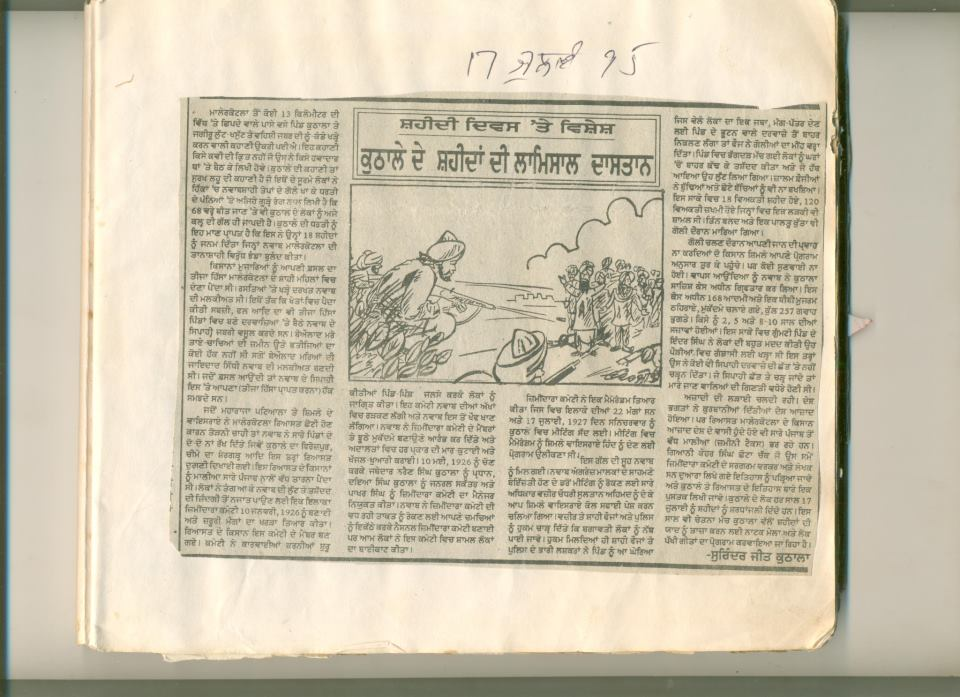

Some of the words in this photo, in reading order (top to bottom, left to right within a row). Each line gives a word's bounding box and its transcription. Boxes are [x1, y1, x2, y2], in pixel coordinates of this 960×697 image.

[457, 40, 505, 84] 17
[498, 30, 594, 91] ਜੁਲ
[593, 34, 666, 87] 95
[390, 114, 461, 136] ਸ਼ਹੀਦੀ
[458, 114, 524, 136] ਦਿਵਸ
[524, 115, 553, 138] 'ਤੇ
[554, 116, 618, 140] ਵਿਸ਼ੇਸ਼
[356, 137, 412, 177] ਕੁਠਾਲੇ
[405, 135, 432, 175] ਦੇ
[432, 140, 489, 178] ਸ਼ਹੀਦਾਂ
[487, 139, 511, 176] ਦੀ
[510, 140, 586, 177] ਲਾਮਿਸਾਲ
[586, 149, 656, 181] ਦਾਸਤਾਨ
[710, 547, 748, 565] ਸੁਰਿੰਦਰ
[748, 548, 775, 565] ਜੀਤ
[775, 549, 815, 565] ਕਠਾਲਾ